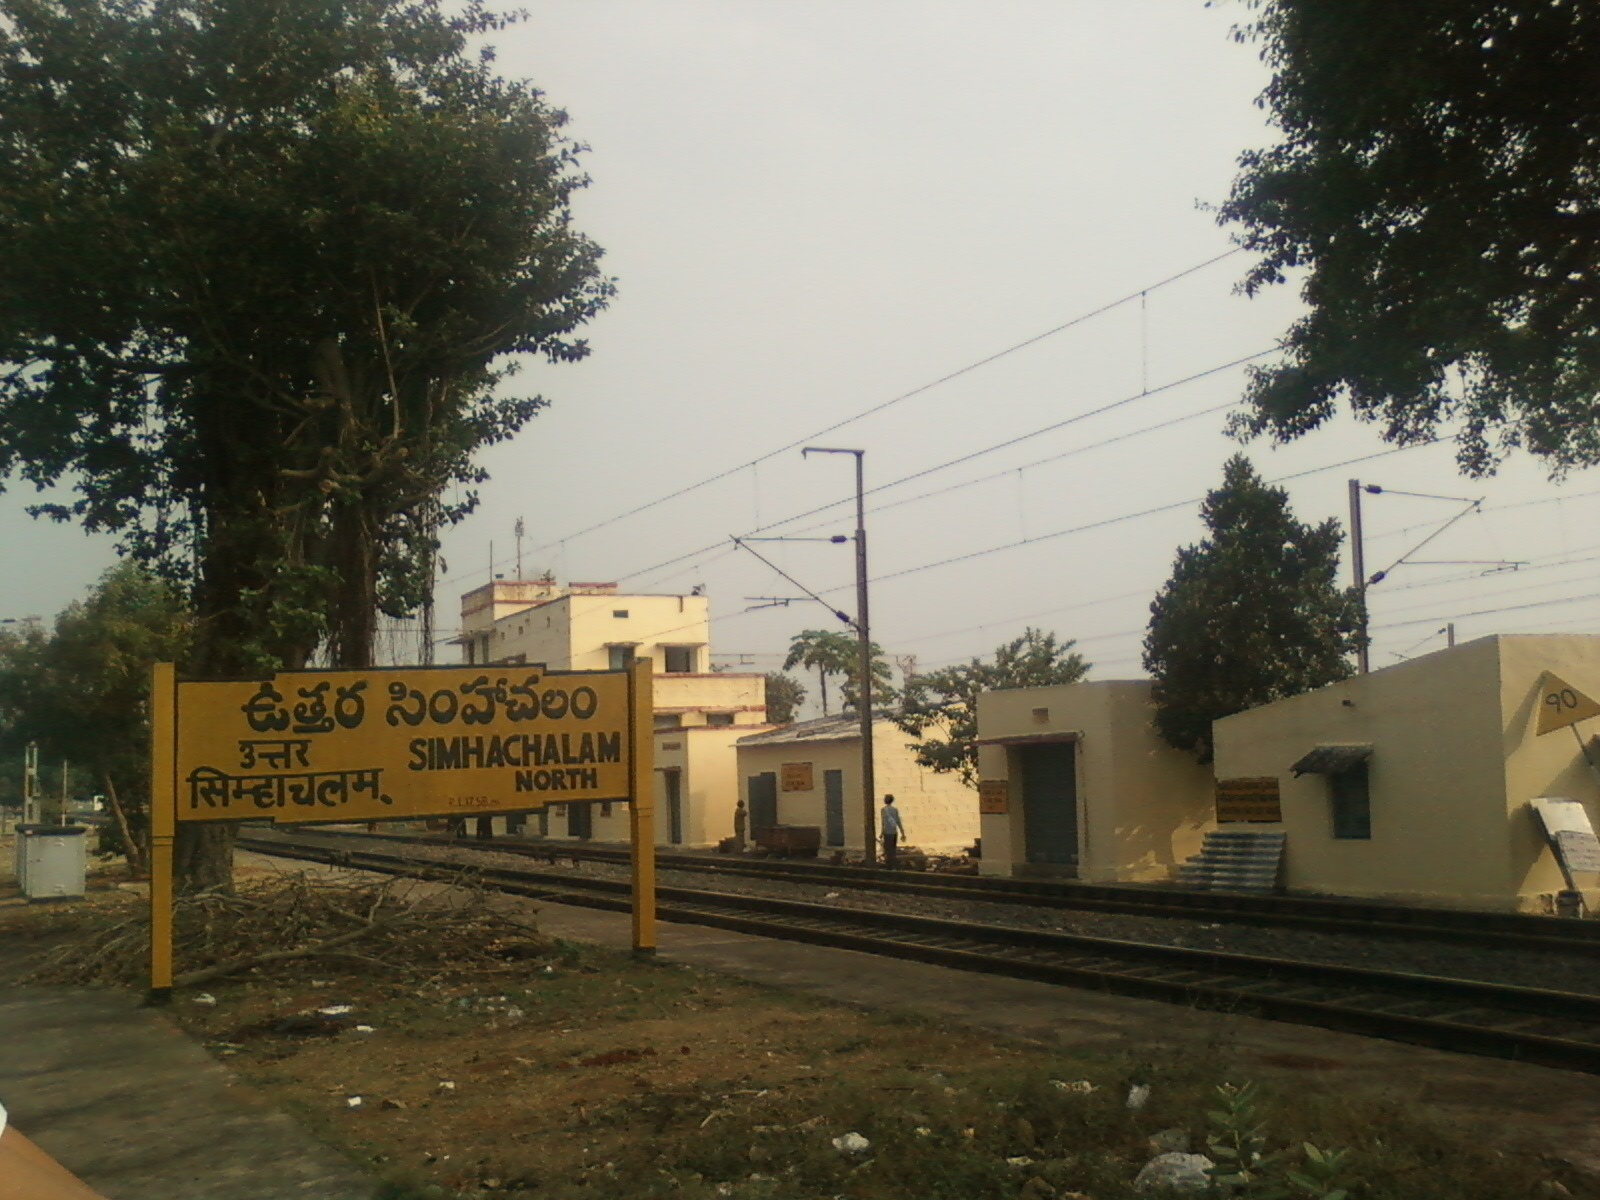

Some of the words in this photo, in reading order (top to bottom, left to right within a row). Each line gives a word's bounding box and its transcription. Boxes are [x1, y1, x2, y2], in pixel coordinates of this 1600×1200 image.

[229, 676, 373, 741] ఉత్తర
[380, 668, 605, 731] సింహాచలం
[236, 733, 313, 772] उत्तर
[404, 725, 625, 774] SIMHACHALAM
[178, 759, 398, 816] सिम्हाचलम्
[512, 765, 602, 798] NORTH